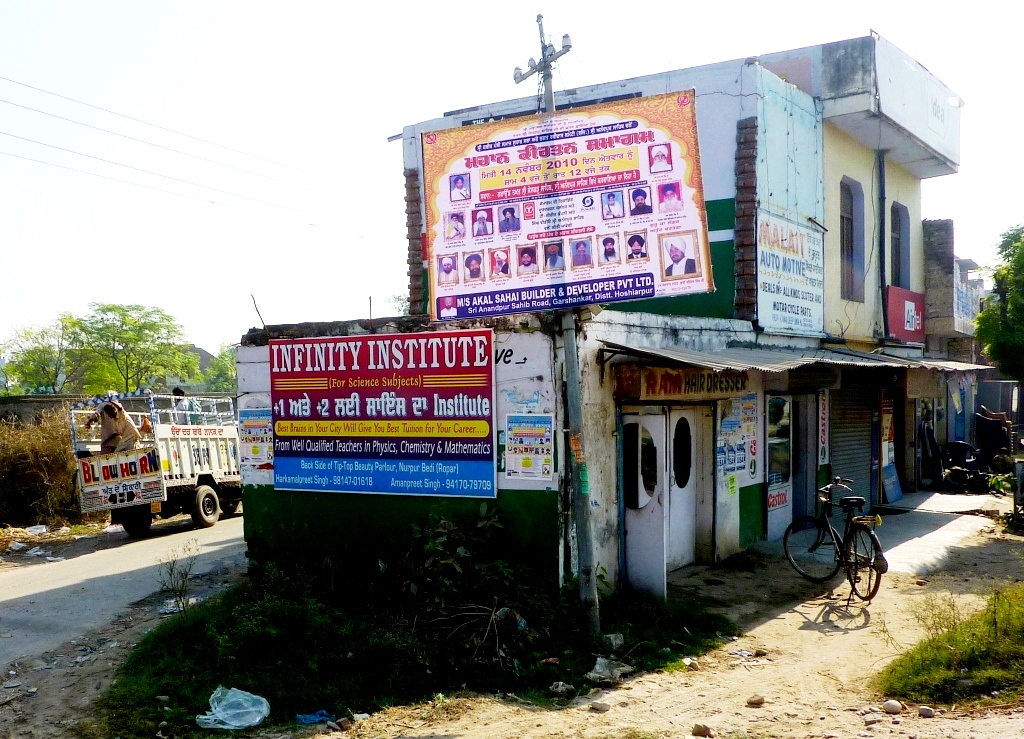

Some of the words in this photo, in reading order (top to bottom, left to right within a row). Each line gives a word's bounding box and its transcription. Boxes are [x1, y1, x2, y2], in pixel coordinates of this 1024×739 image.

[462, 149, 513, 171] ਮਹਾਨ
[498, 164, 513, 178] 14
[513, 158, 547, 176] ਨਵੰਬਰ
[514, 137, 583, 164] ਕੀਰਤਨ
[545, 153, 580, 171] 2010
[583, 129, 658, 153] ਸਮਾਗਸ
[757, 248, 782, 271] AUTO
[781, 254, 807, 278] MOTIVE
[456, 295, 471, 311] M/S
[471, 293, 495, 307] AKAL
[493, 290, 521, 305] SAHAI
[520, 284, 557, 301] BUILDER
[557, 283, 567, 297] &
[565, 277, 617, 297] DEVELOPER
[615, 274, 634, 290] PVT
[633, 274, 655, 289] LTD.
[900, 300, 927, 338] Airtel
[269, 337, 365, 376] INFINITY
[362, 328, 493, 372] INSTITUTE
[329, 374, 347, 389] For
[345, 373, 381, 390] Science
[380, 371, 419, 392] Subjects
[643, 364, 684, 399] RAM
[681, 367, 707, 401] HAIR
[705, 367, 752, 397] DRESSER
[271, 395, 287, 421] +1
[287, 390, 313, 419] ਅਤੇ
[313, 391, 331, 421] +2
[331, 391, 365, 420] ਲਈ
[364, 388, 410, 418] ਸਾਇੰਸ
[409, 389, 429, 421] ਦਾ
[429, 389, 491, 419] Institute
[272, 436, 293, 457] From
[289, 435, 305, 457] Well
[304, 436, 334, 458] Qualified
[333, 437, 362, 459] Teachers
[363, 437, 371, 458] in
[371, 437, 399, 459] Physics,
[397, 437, 437, 458] Chemistry
[443, 437, 494, 460] Mathematics
[78, 458, 121, 487] BLOW
[118, 445, 161, 481] HORN
[273, 471, 331, 489] HarkamalpreetSingh
[329, 471, 376, 493] 98147-01618
[387, 475, 442, 493] AmarpreetSingh
[443, 477, 495, 497] 94170-79709
[767, 485, 791, 513] Castrol